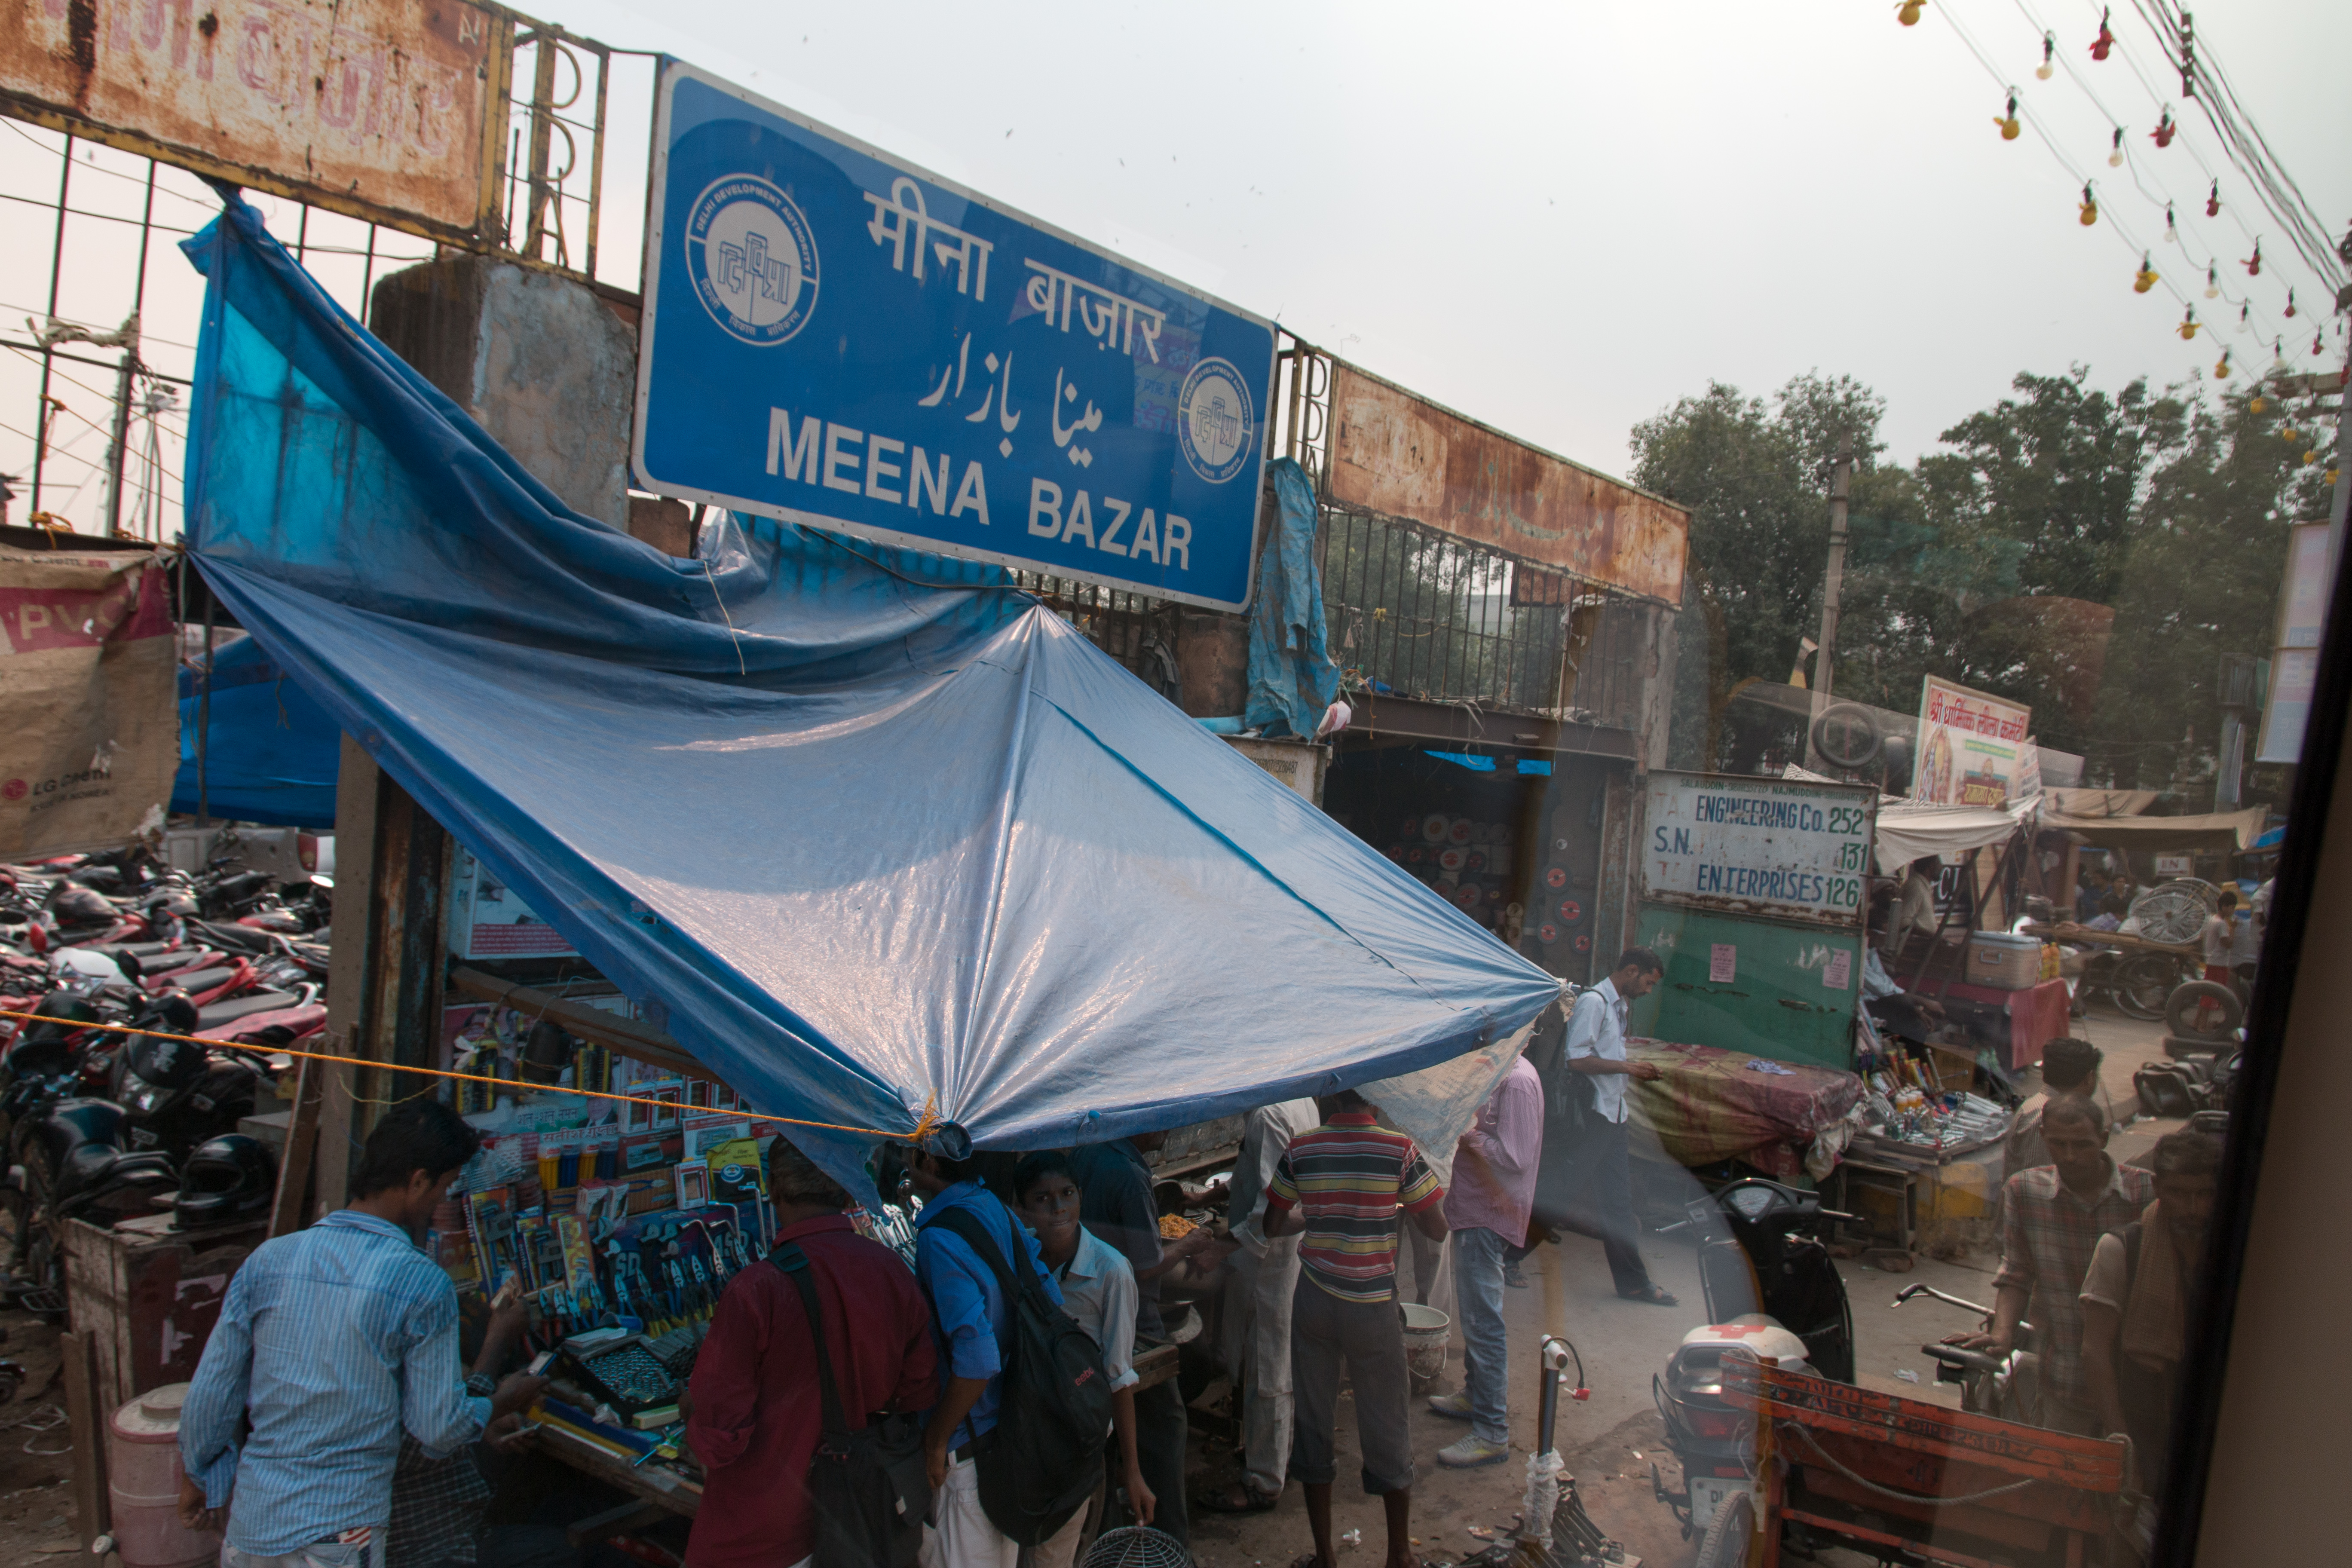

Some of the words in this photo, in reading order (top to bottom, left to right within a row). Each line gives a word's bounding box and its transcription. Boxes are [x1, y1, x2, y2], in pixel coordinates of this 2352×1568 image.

[220, 0, 467, 160] बाजार
[710, 181, 786, 211] DEVELOPMENT
[690, 196, 720, 237] DELHI
[778, 203, 814, 273] AUTHORITY
[854, 177, 998, 309] मीना
[695, 274, 724, 315] दिल्ली
[723, 309, 759, 340] विकास
[764, 306, 805, 340] प्राधिकरण
[1021, 255, 1171, 368] बाजा़र
[1180, 364, 1238, 407] DELHI DEVELOPMENT
[1230, 375, 1251, 428] AUTHORITY
[760, 404, 992, 530] MEENA
[1180, 436, 1198, 462] दिल्ली
[1196, 461, 1217, 482] विकास
[1218, 456, 1246, 481] प्राधिकरण
[1025, 475, 1195, 573] BAZAR
[1929, 690, 1945, 726] श्री
[1942, 695, 1977, 733] धार्मिन्क
[1974, 703, 2001, 741] लीला
[1998, 713, 2027, 746] कमेटी
[1964, 781, 1991, 806] रामायण
[1692, 791, 1800, 835] ENGINEERING
[1795, 799, 1827, 836] Co.
[1827, 805, 1865, 838] 252
[1694, 861, 1826, 909] ENTERPRISES
[1823, 870, 1864, 913] 126
[515, 1111, 536, 1130] शत
[537, 1109, 558, 1130] शत्
[541, 1125, 585, 1144] सतीश
[556, 1106, 579, 1123] नमन
[586, 1123, 616, 1140] गुप्ता